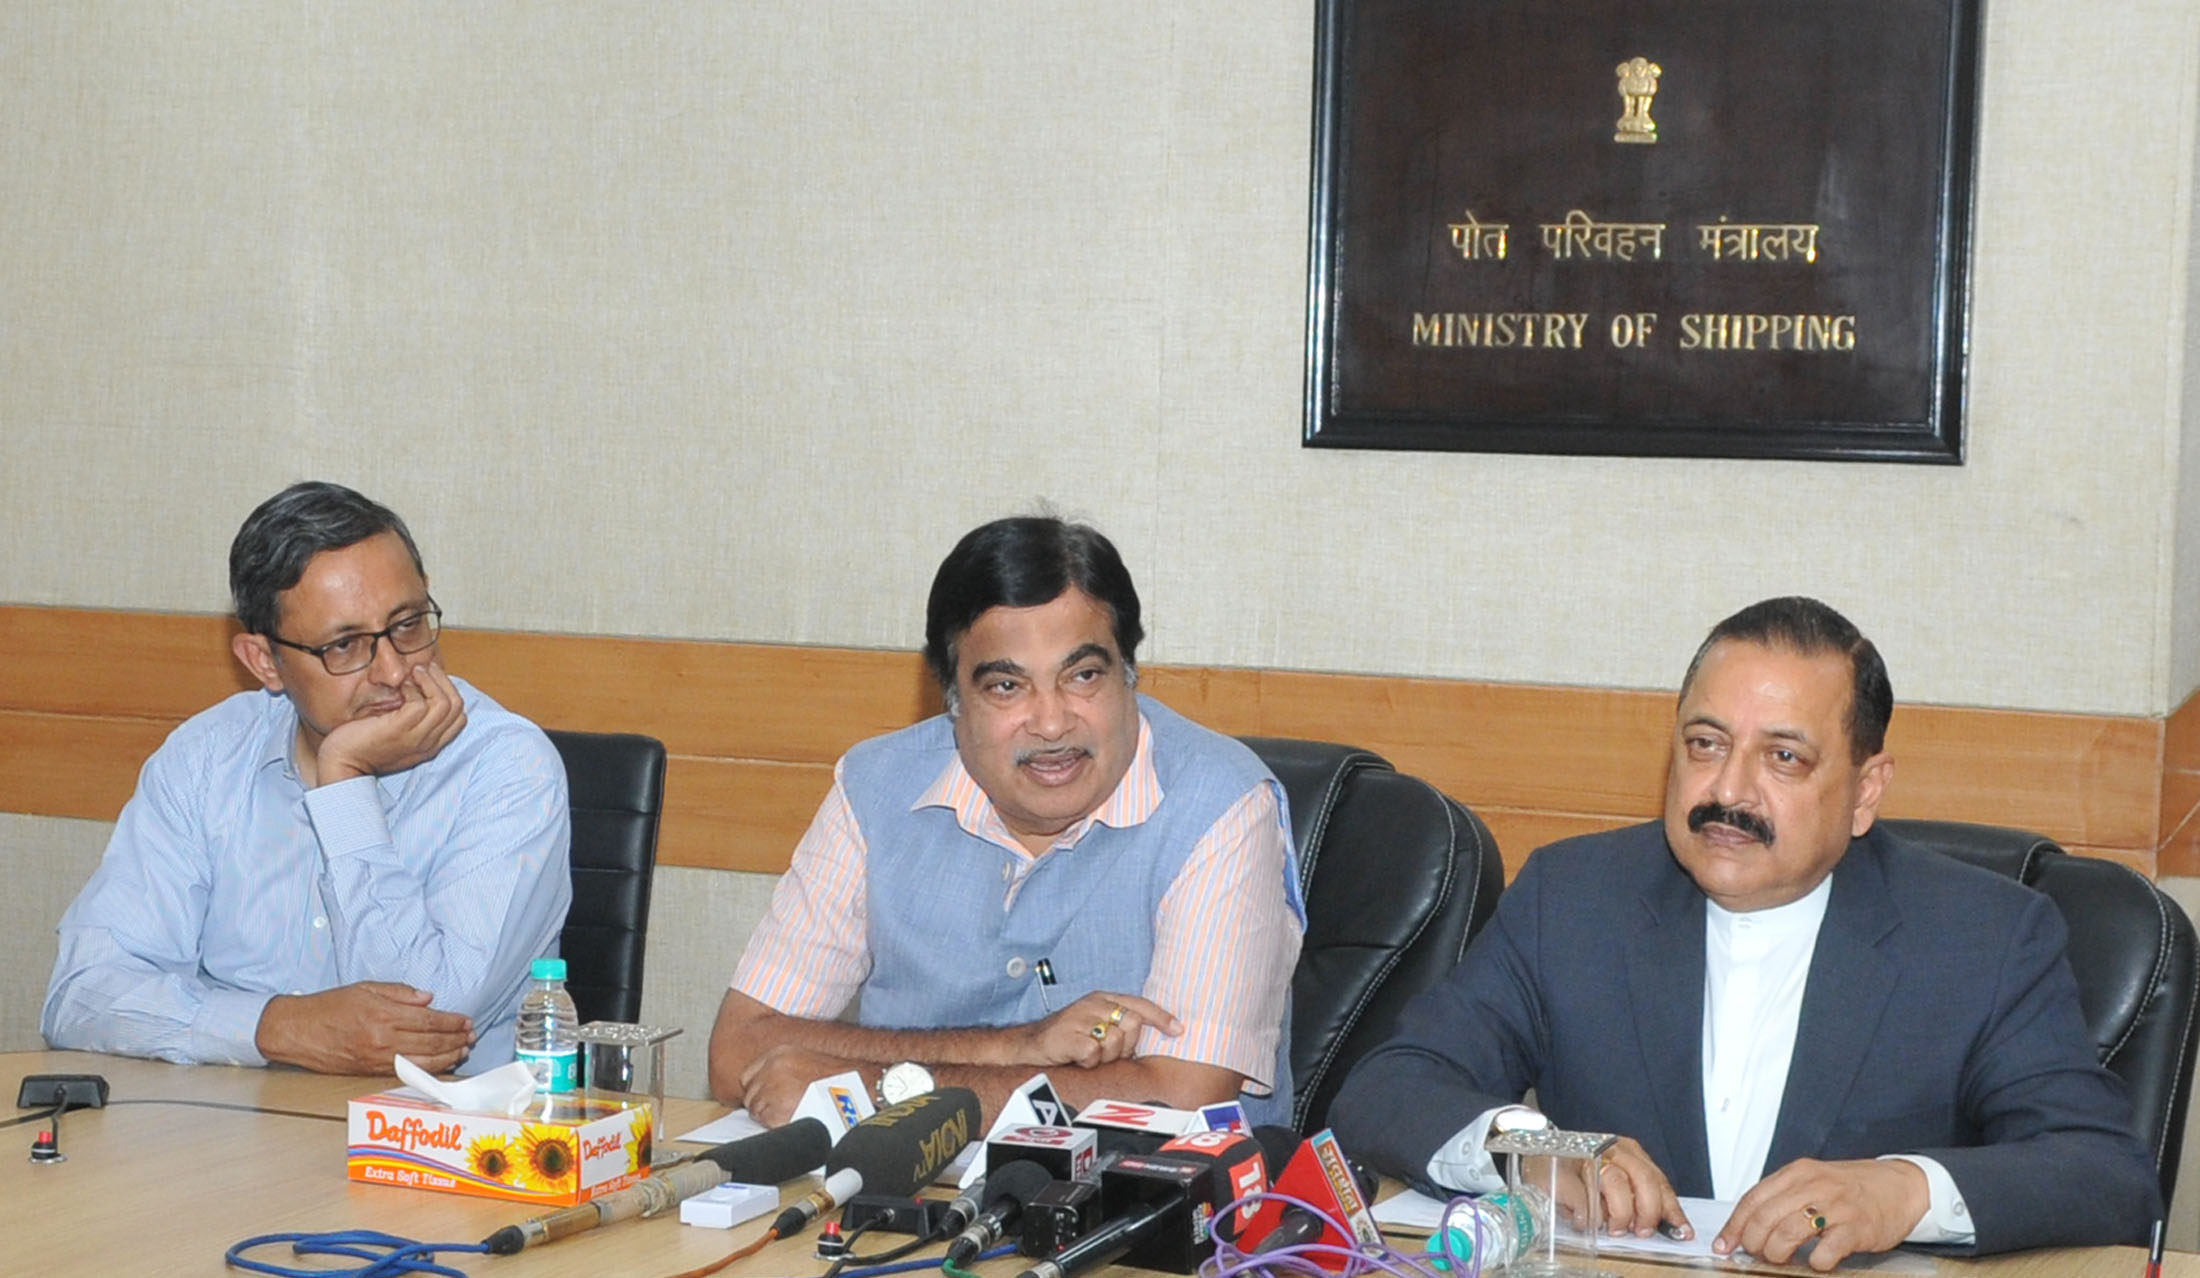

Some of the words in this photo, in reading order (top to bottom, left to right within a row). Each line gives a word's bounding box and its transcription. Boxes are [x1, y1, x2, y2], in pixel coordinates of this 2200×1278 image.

[1445, 205, 1512, 266] पोत
[1536, 202, 1669, 262] परिवहन
[1694, 206, 1824, 267] मंत्रालय
[1405, 307, 1594, 352] MINISTRY
[1603, 308, 1662, 353] OF
[1676, 310, 1858, 357] SHIPPING
[361, 1106, 468, 1155] Daffodil
[581, 1127, 629, 1162] Daffodil
[355, 1165, 402, 1183] Extra
[392, 1166, 422, 1187] Soft